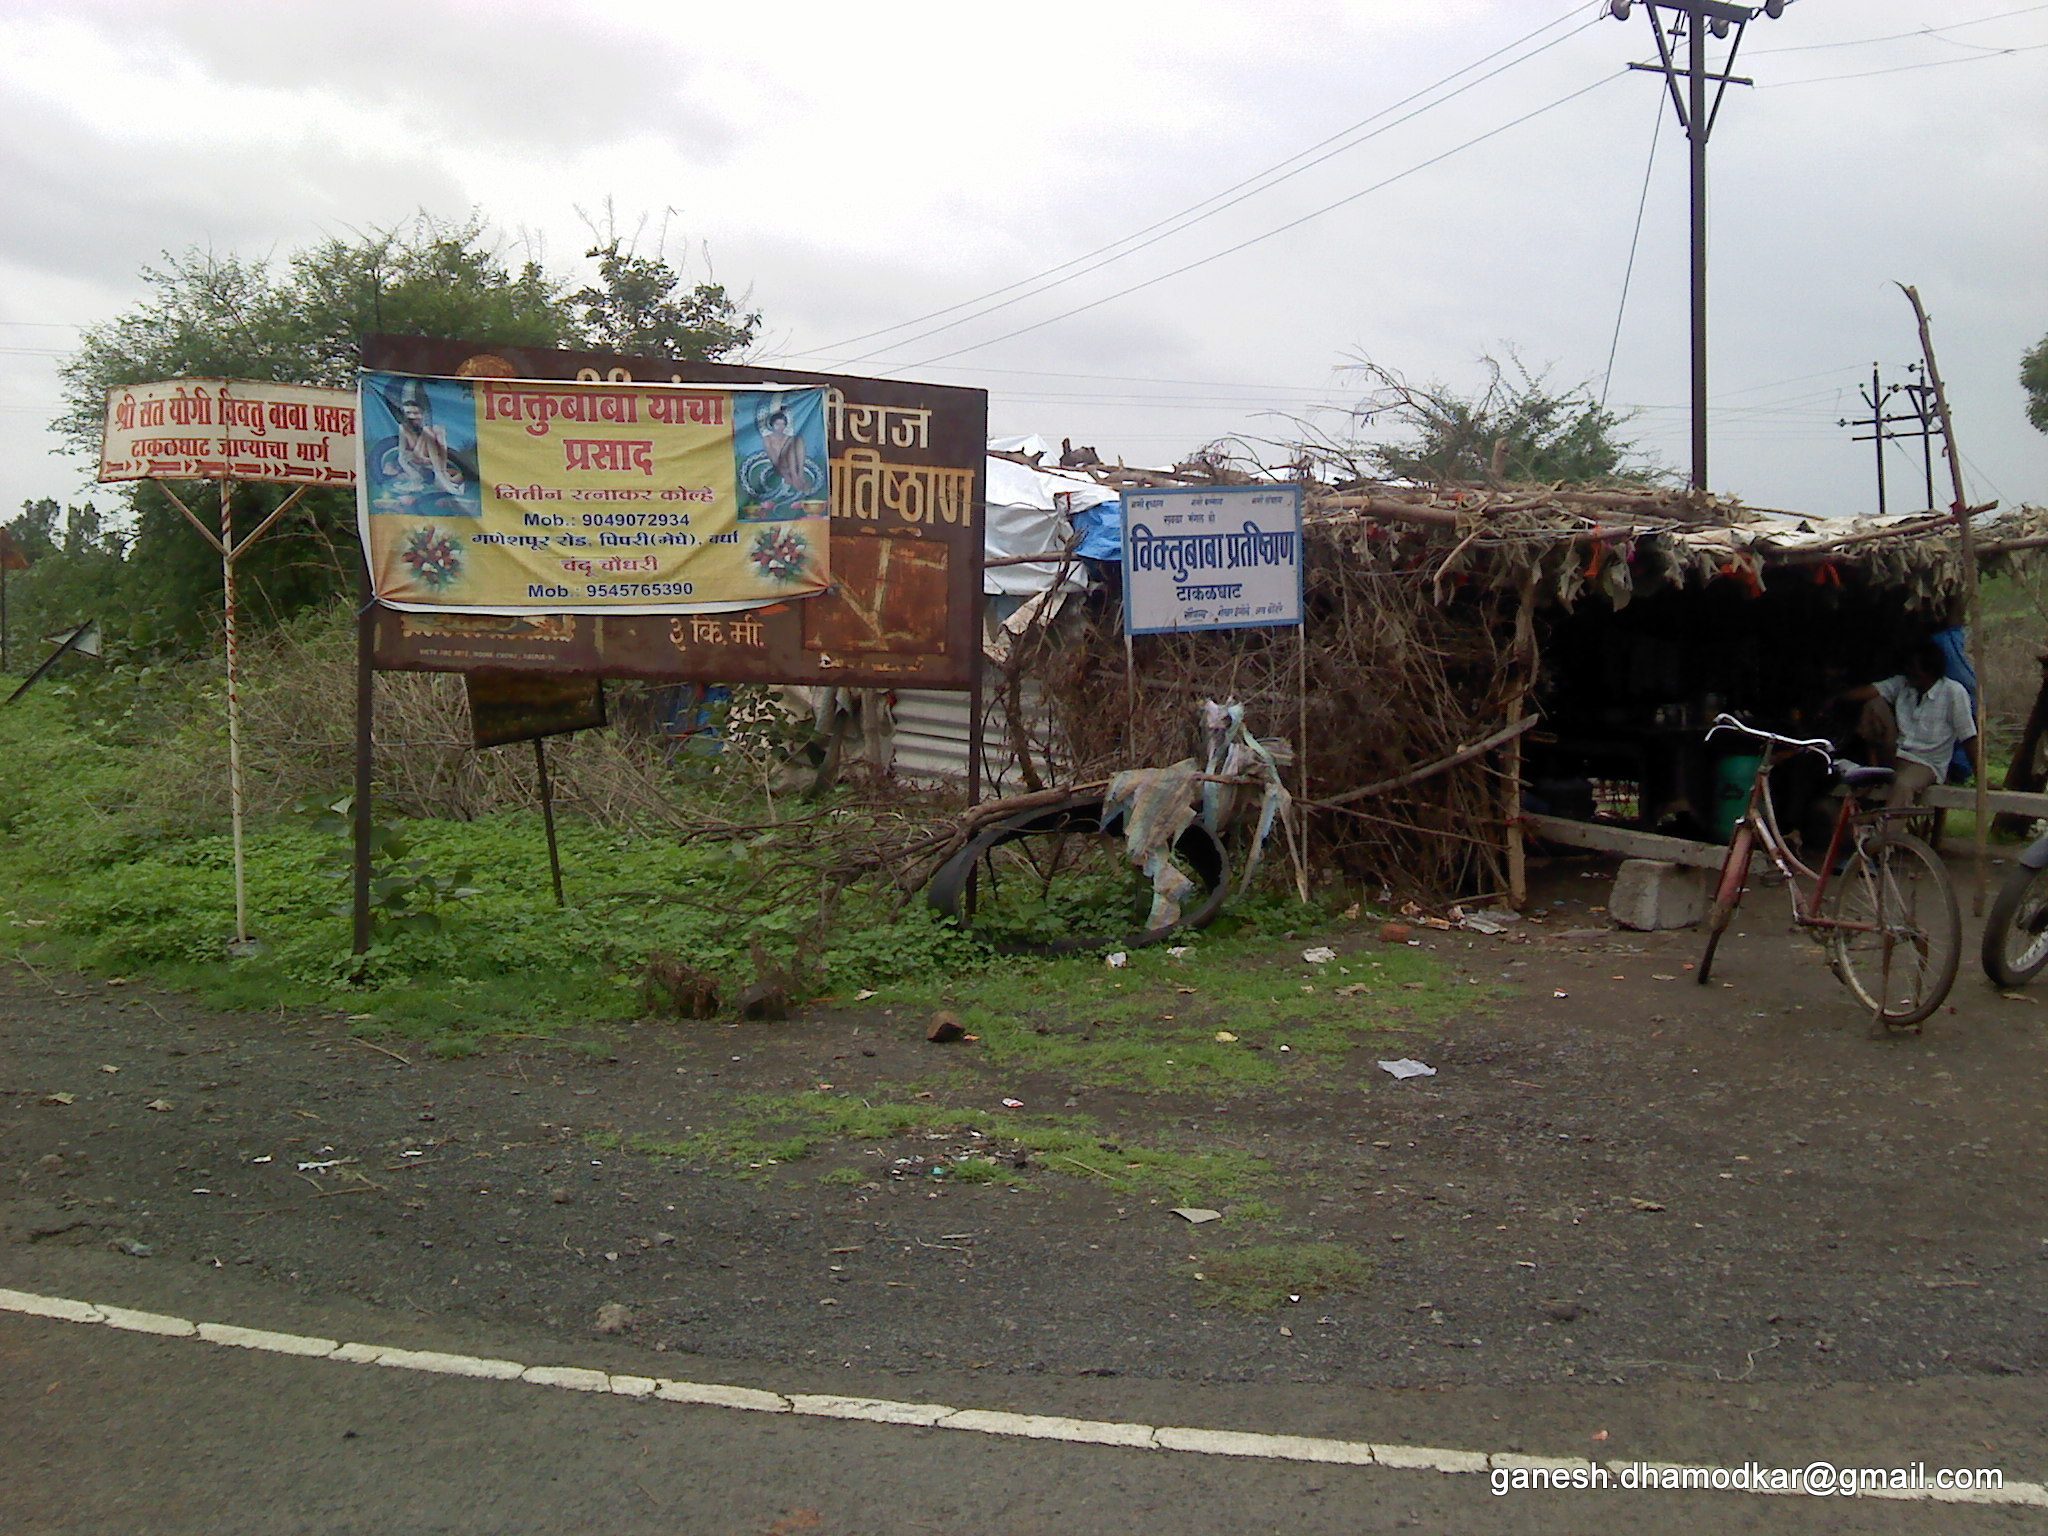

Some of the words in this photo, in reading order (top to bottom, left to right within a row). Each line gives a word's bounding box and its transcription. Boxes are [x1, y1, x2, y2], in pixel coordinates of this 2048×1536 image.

[106, 388, 145, 437] श्री
[133, 385, 170, 429] संत
[157, 384, 211, 428] योगी
[212, 383, 269, 441] विवतु
[263, 392, 315, 435] बाबा
[311, 395, 362, 442] प्रसन्न
[475, 372, 642, 445] विक्तुबाबा
[642, 390, 729, 434] याचा
[814, 379, 936, 451] राज
[129, 425, 215, 461] टाकलघाट
[212, 433, 293, 462] जाण्य‍‍‍ाचा
[293, 431, 333, 467] मार्ग
[560, 433, 661, 481] प्रसाद
[489, 476, 566, 509] नितीन
[572, 482, 652, 511] रत्नाकर
[648, 480, 714, 509] कोल्हे
[831, 441, 981, 532] तिष्ठाण
[467, 526, 554, 557] गणेशपूर
[520, 509, 568, 532] Mob
[550, 525, 587, 553] रोड
[552, 550, 601, 581] चंदू
[592, 524, 651, 551] पिपरी
[601, 553, 659, 576] चौधरी
[578, 509, 692, 530] 9049072934
[647, 527, 693, 553] (मेघे)
[705, 529, 747, 550] वर्धा
[1121, 510, 1227, 587] विक्तुबाबा
[1220, 511, 1299, 571] प्रतीष्ठाण
[525, 576, 572, 606] Mob
[584, 578, 692, 603] 9545765390
[1169, 576, 1241, 607] टाकळद्याट
[665, 599, 772, 660] ३ कि. मी.
[1483, 1453, 2010, 1500] ganesh.dhamodkar@gmail.com